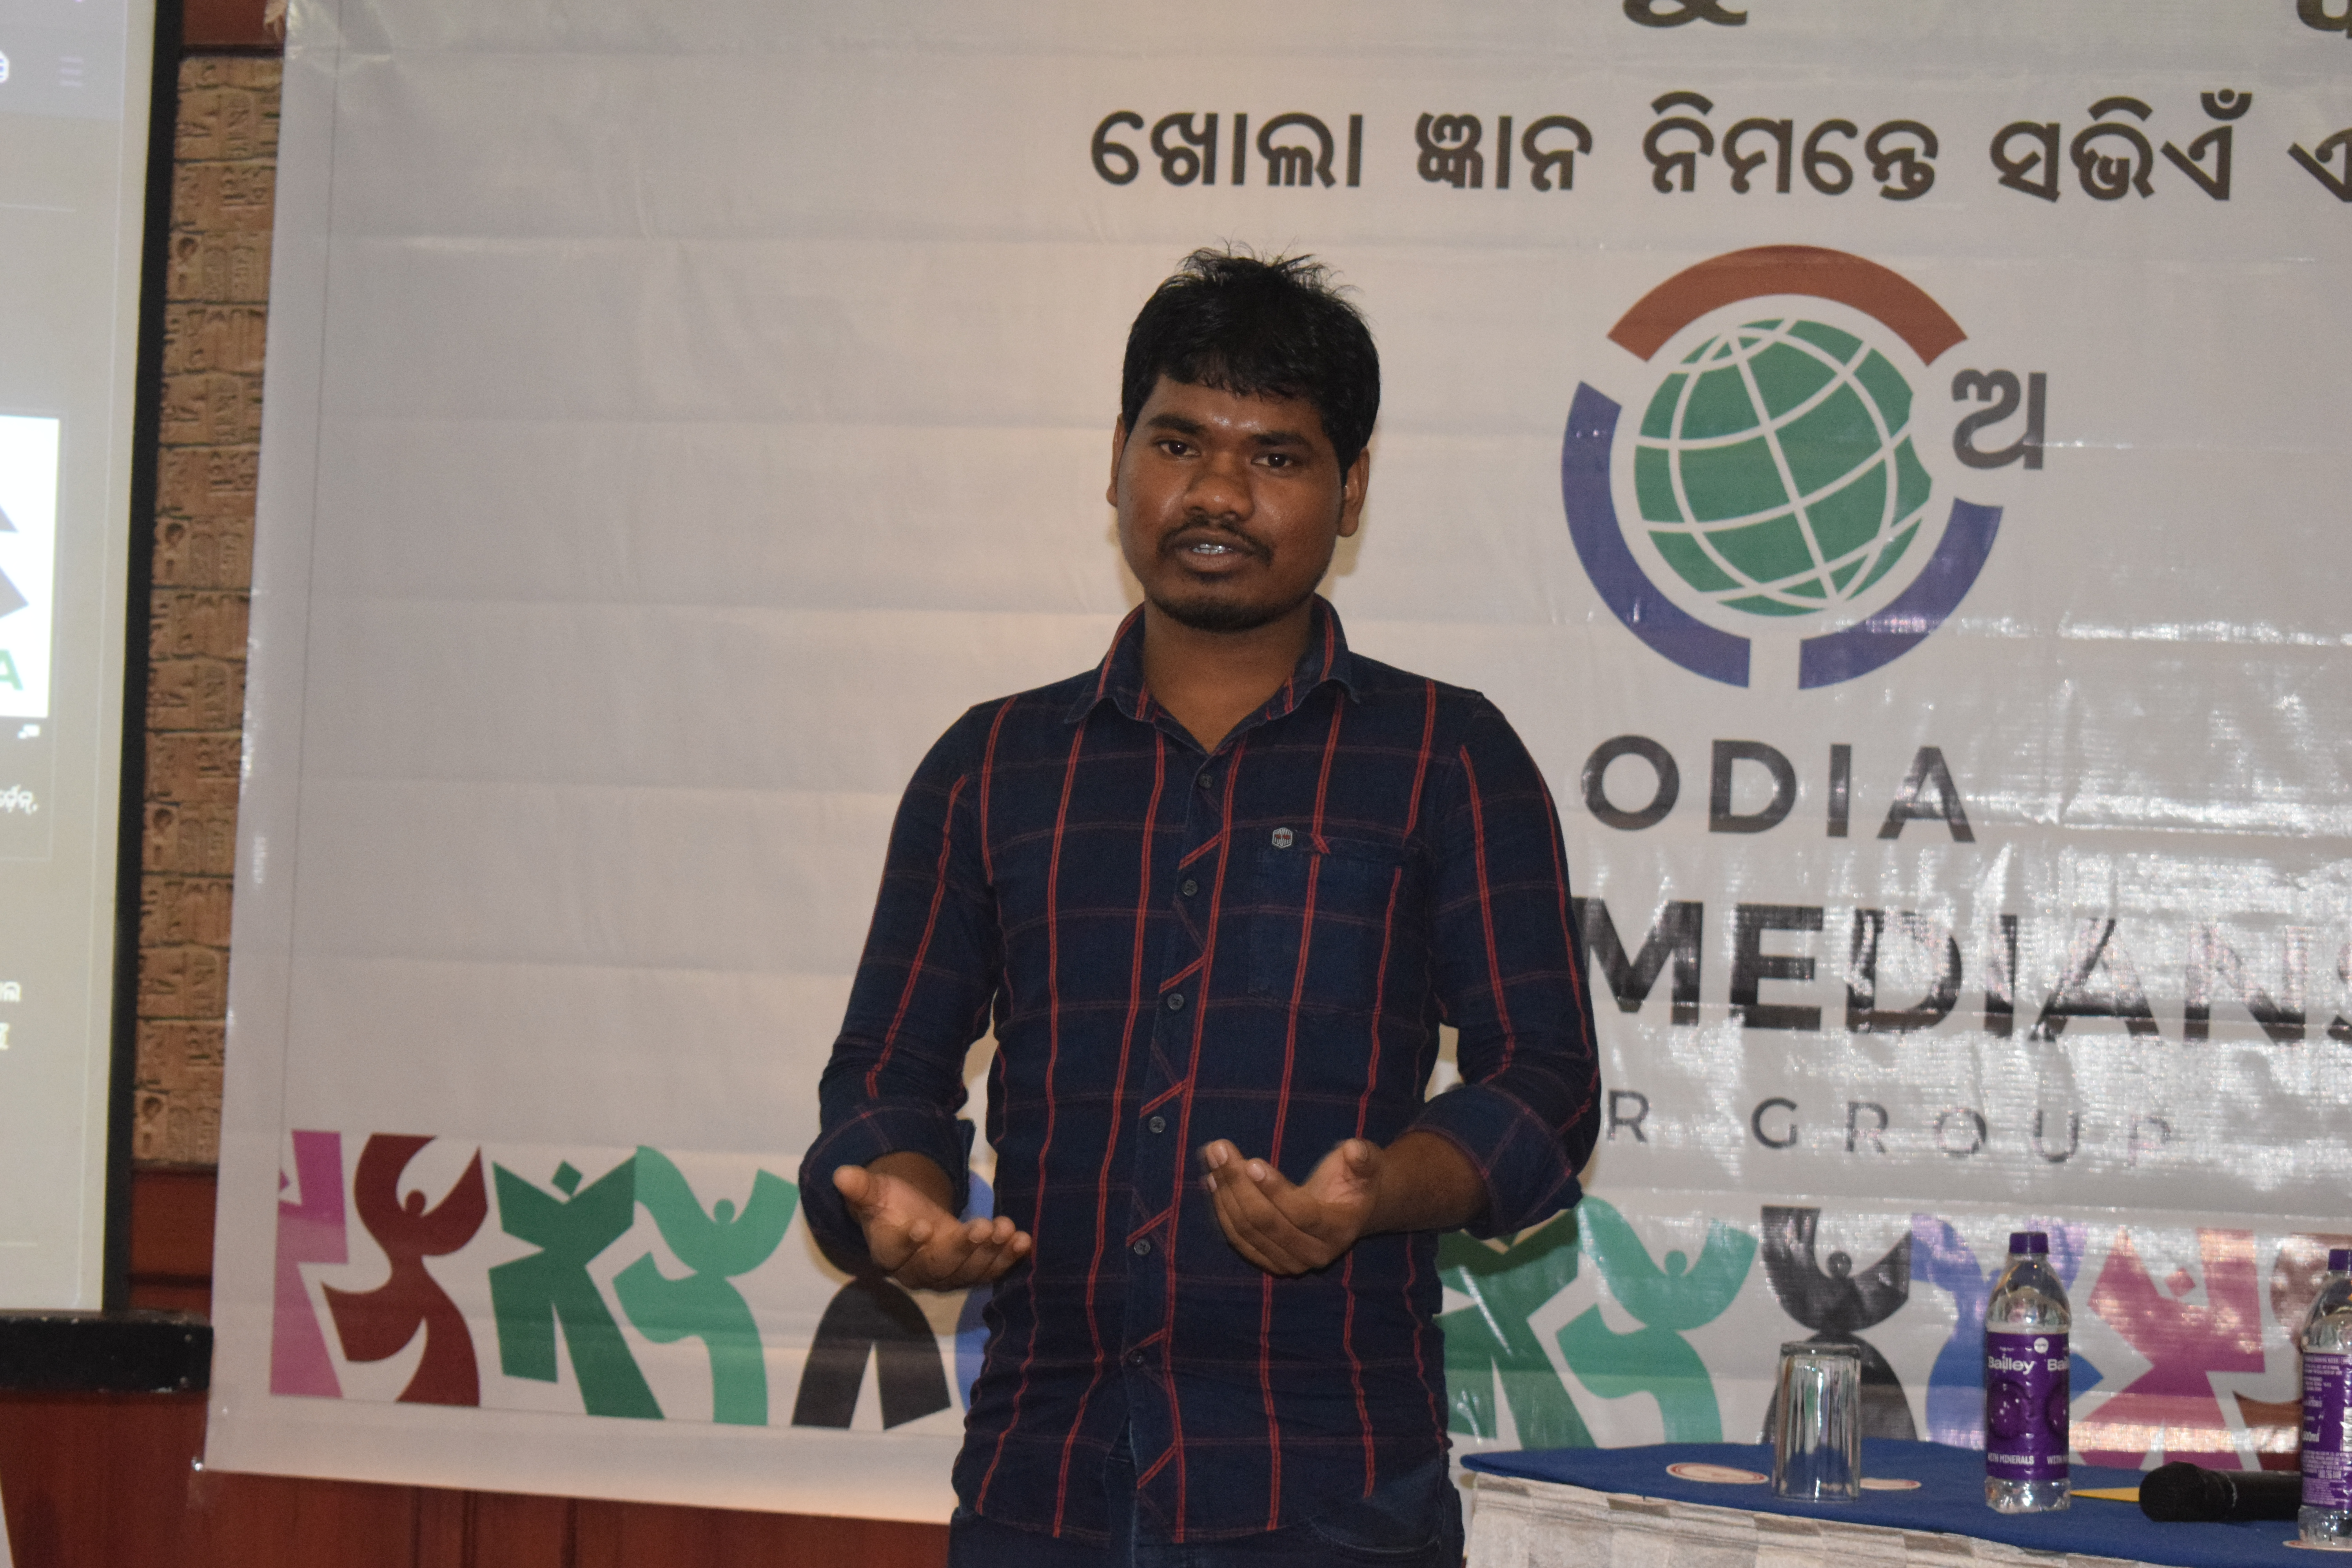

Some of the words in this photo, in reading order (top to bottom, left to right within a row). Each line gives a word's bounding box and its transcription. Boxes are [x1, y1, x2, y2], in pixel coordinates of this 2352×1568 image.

[1088, 102, 1376, 194] ଖୋଲା
[1405, 100, 1604, 211] ଜ୍ଞାନ
[1635, 85, 1945, 205] ନିମନ୍ତେ
[1984, 86, 2255, 203] ସଭିଏଁ
[1940, 352, 2062, 486] ଅ
[1572, 733, 1980, 850] ODIA
[1566, 892, 2320, 1058] MEDIAN
[1592, 1074, 1668, 1159] R
[1735, 1088, 2177, 1178] GROUP